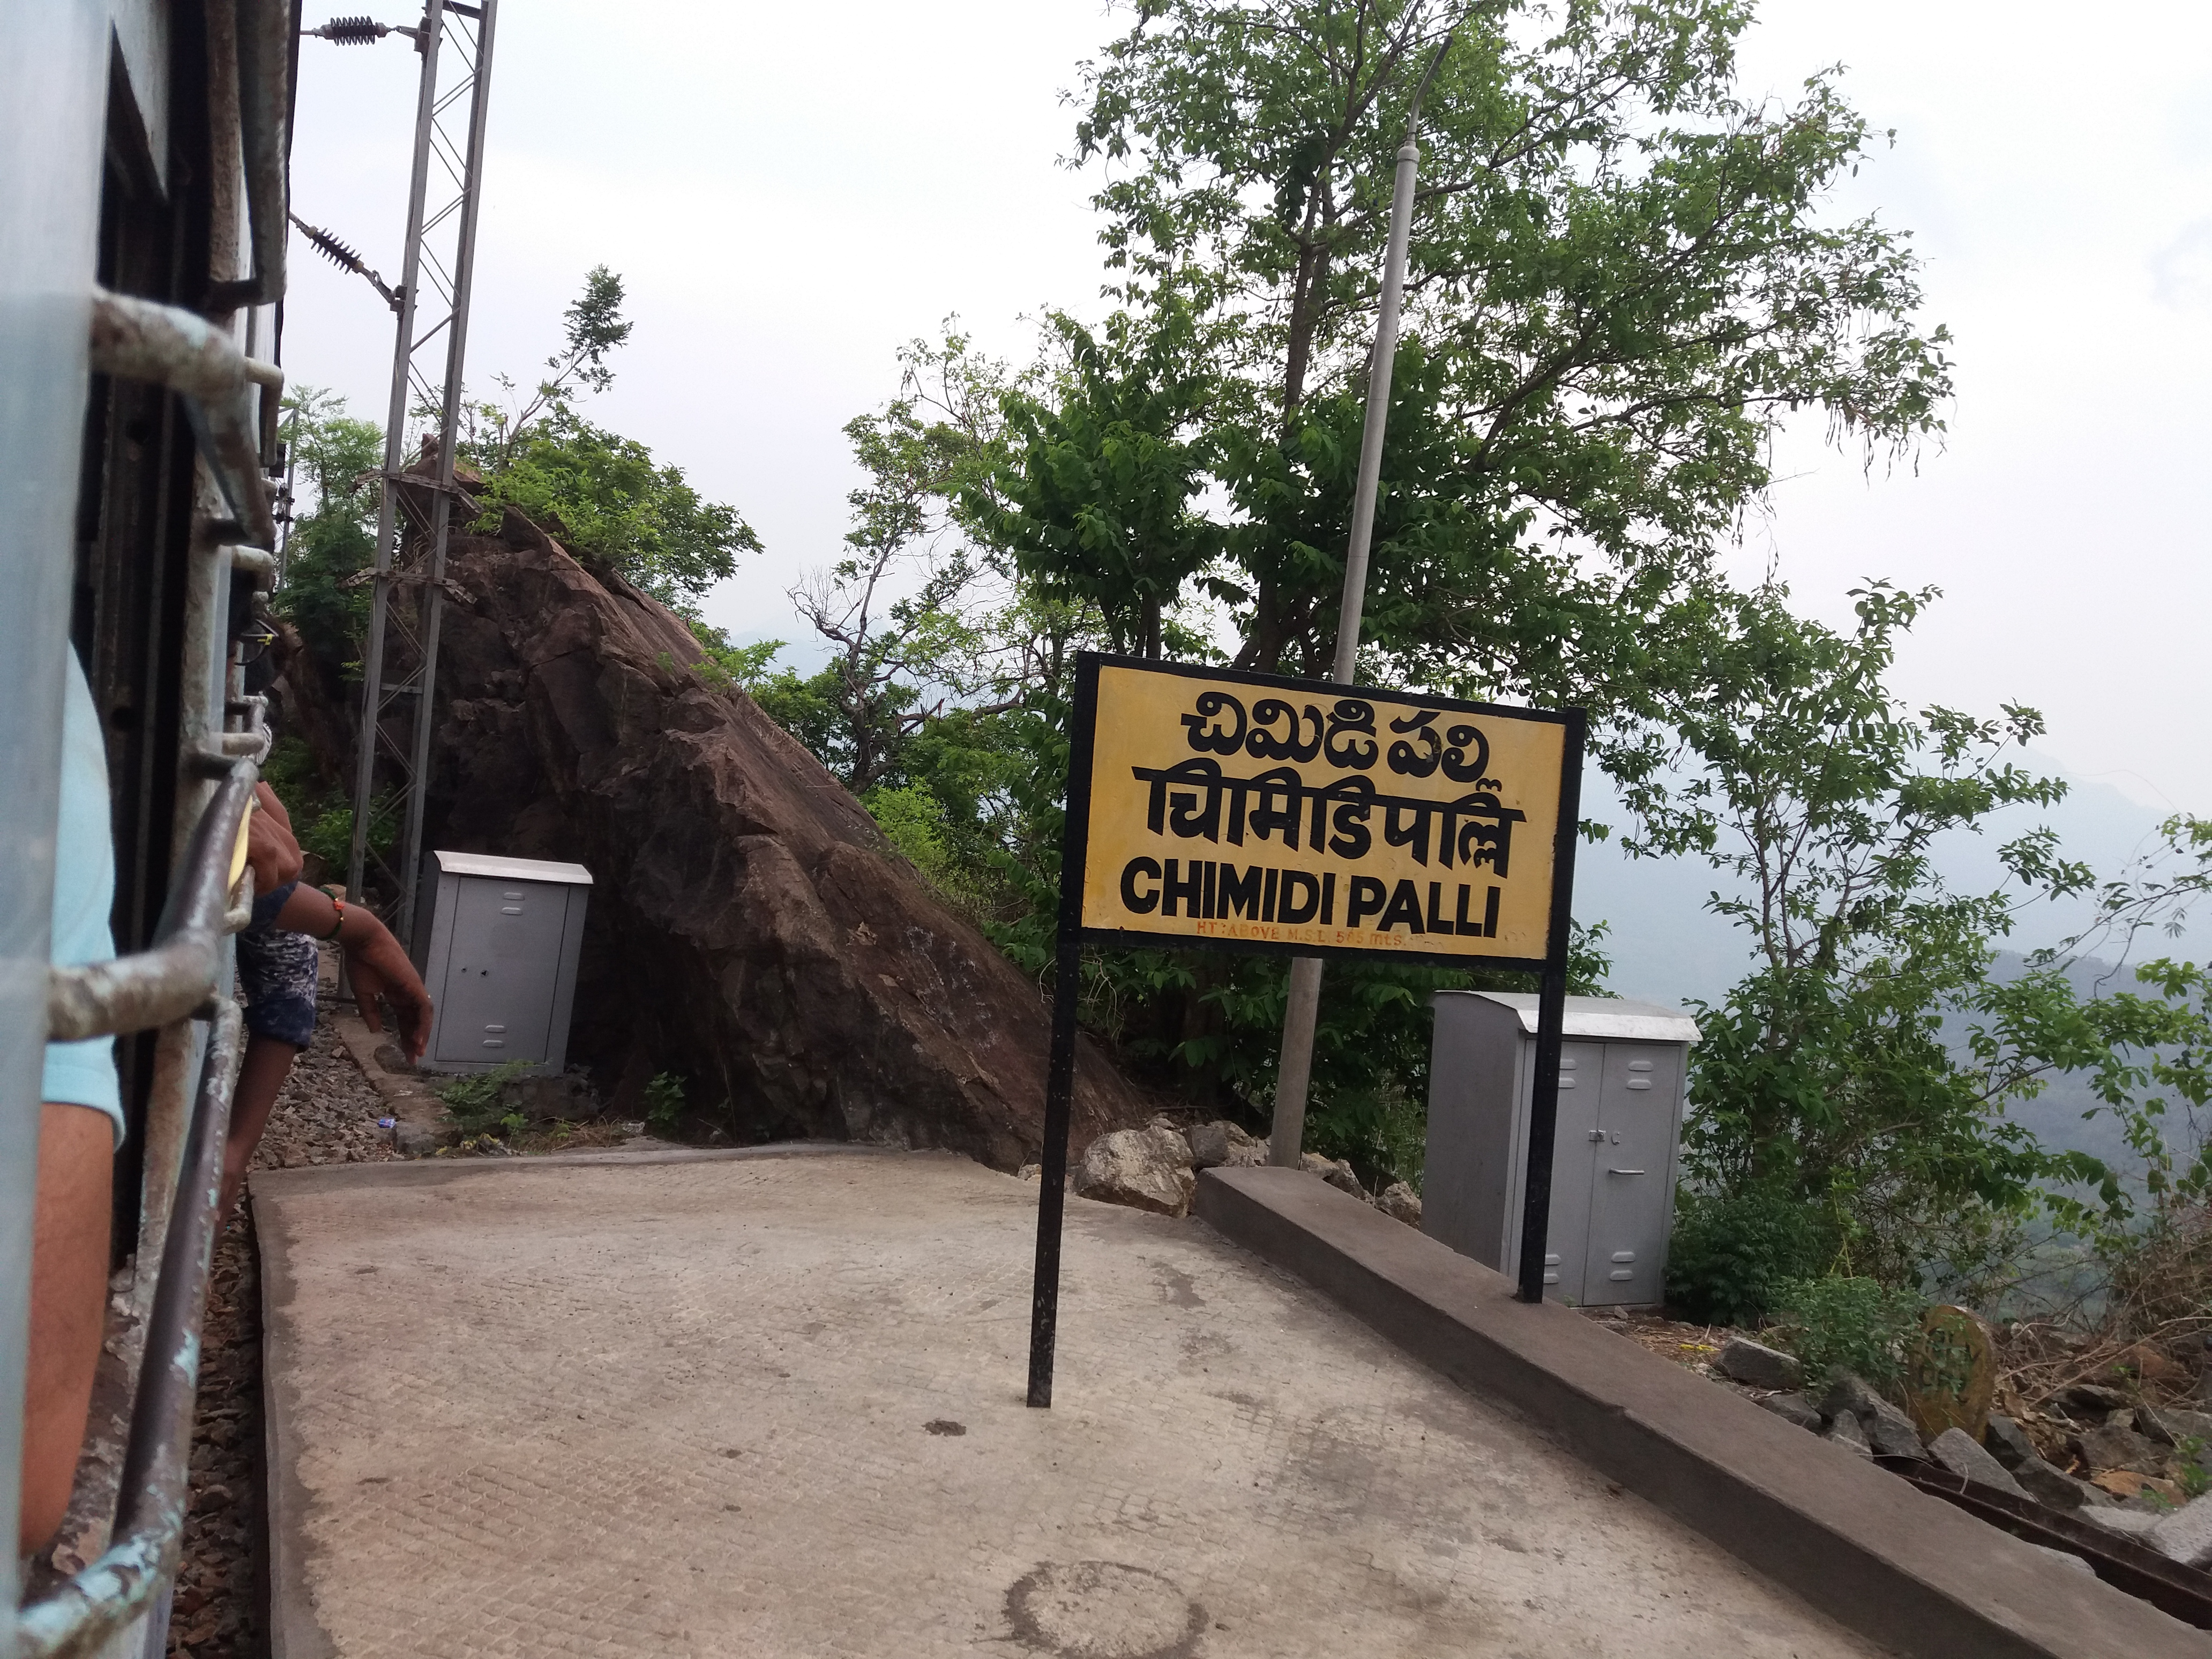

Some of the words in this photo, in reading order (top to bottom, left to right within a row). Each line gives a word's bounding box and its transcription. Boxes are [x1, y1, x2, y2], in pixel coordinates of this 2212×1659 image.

[1171, 683, 1508, 798] చిమిడి పల్లి
[1129, 749, 1530, 884] चिमिडिपल्लि
[1115, 850, 1506, 942] CHIMIDIPALLI